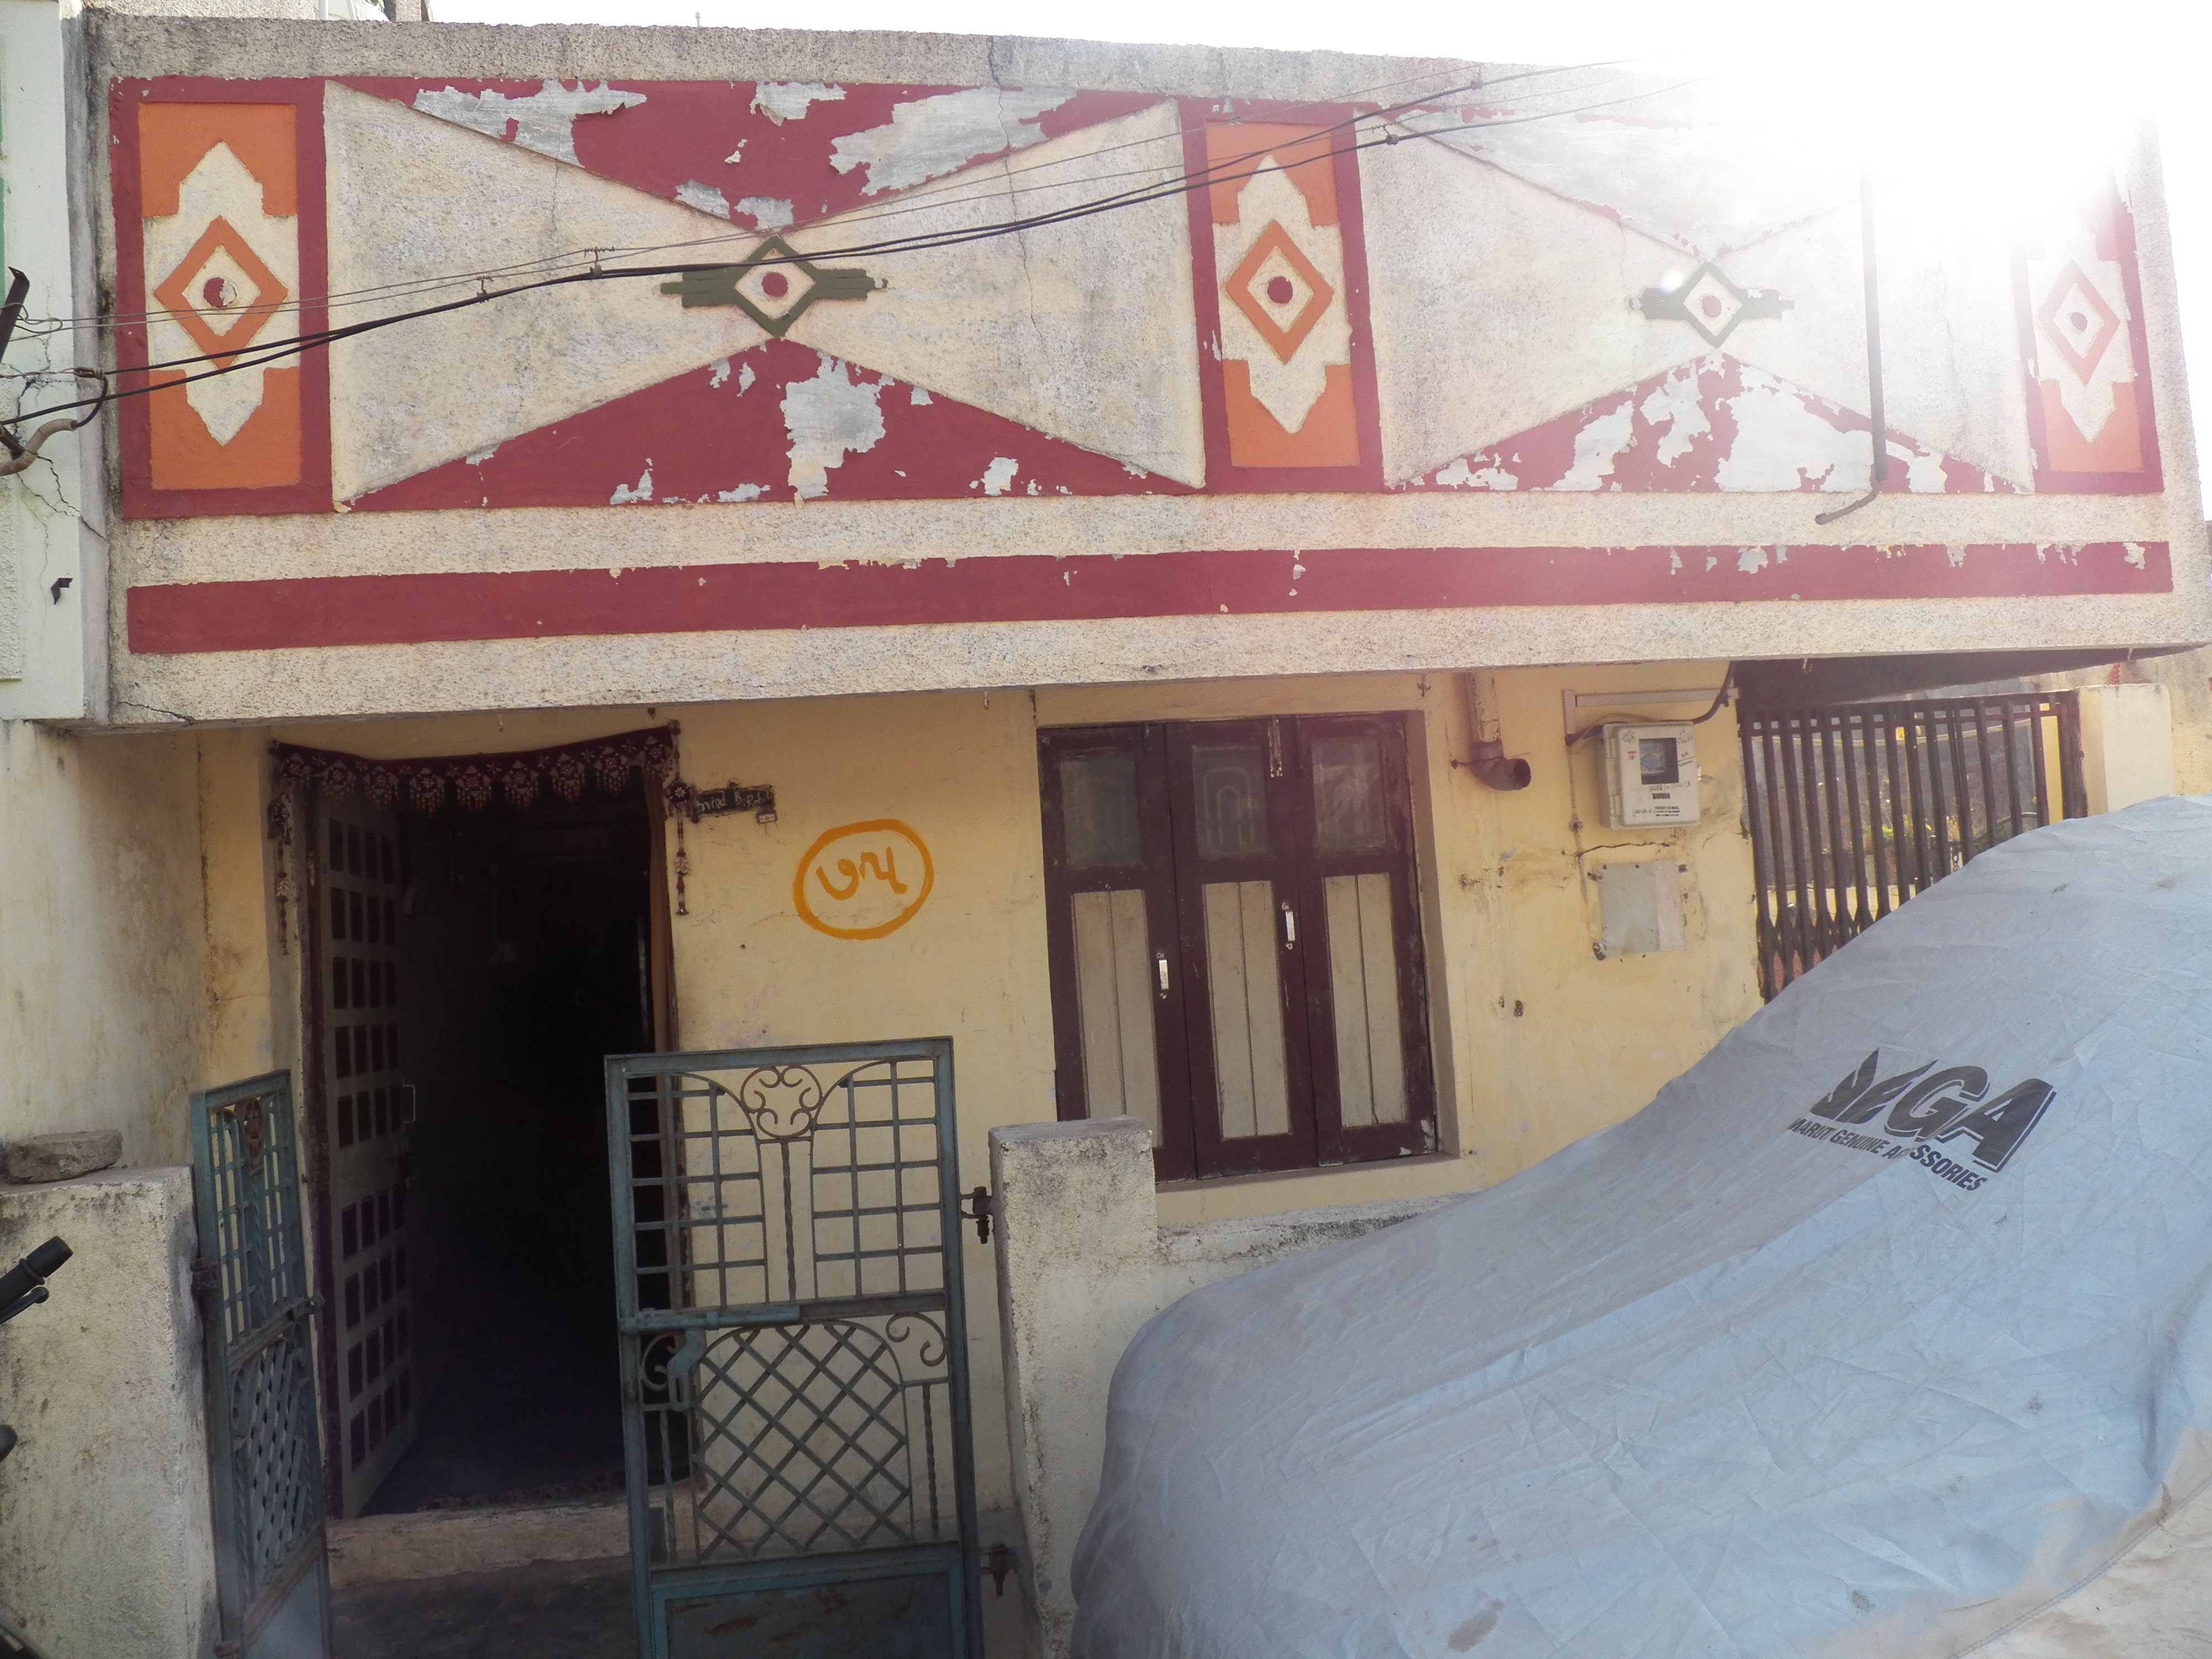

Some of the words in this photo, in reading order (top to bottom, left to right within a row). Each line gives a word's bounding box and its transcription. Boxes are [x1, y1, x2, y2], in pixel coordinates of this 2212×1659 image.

[810, 846, 915, 910] ૭ય
[1785, 1117, 1837, 1141] MARUT
[1828, 1127, 1892, 1156] GENUINE
[1879, 1060, 2064, 1177] GA
[1906, 1142, 1990, 1198] SSORIES